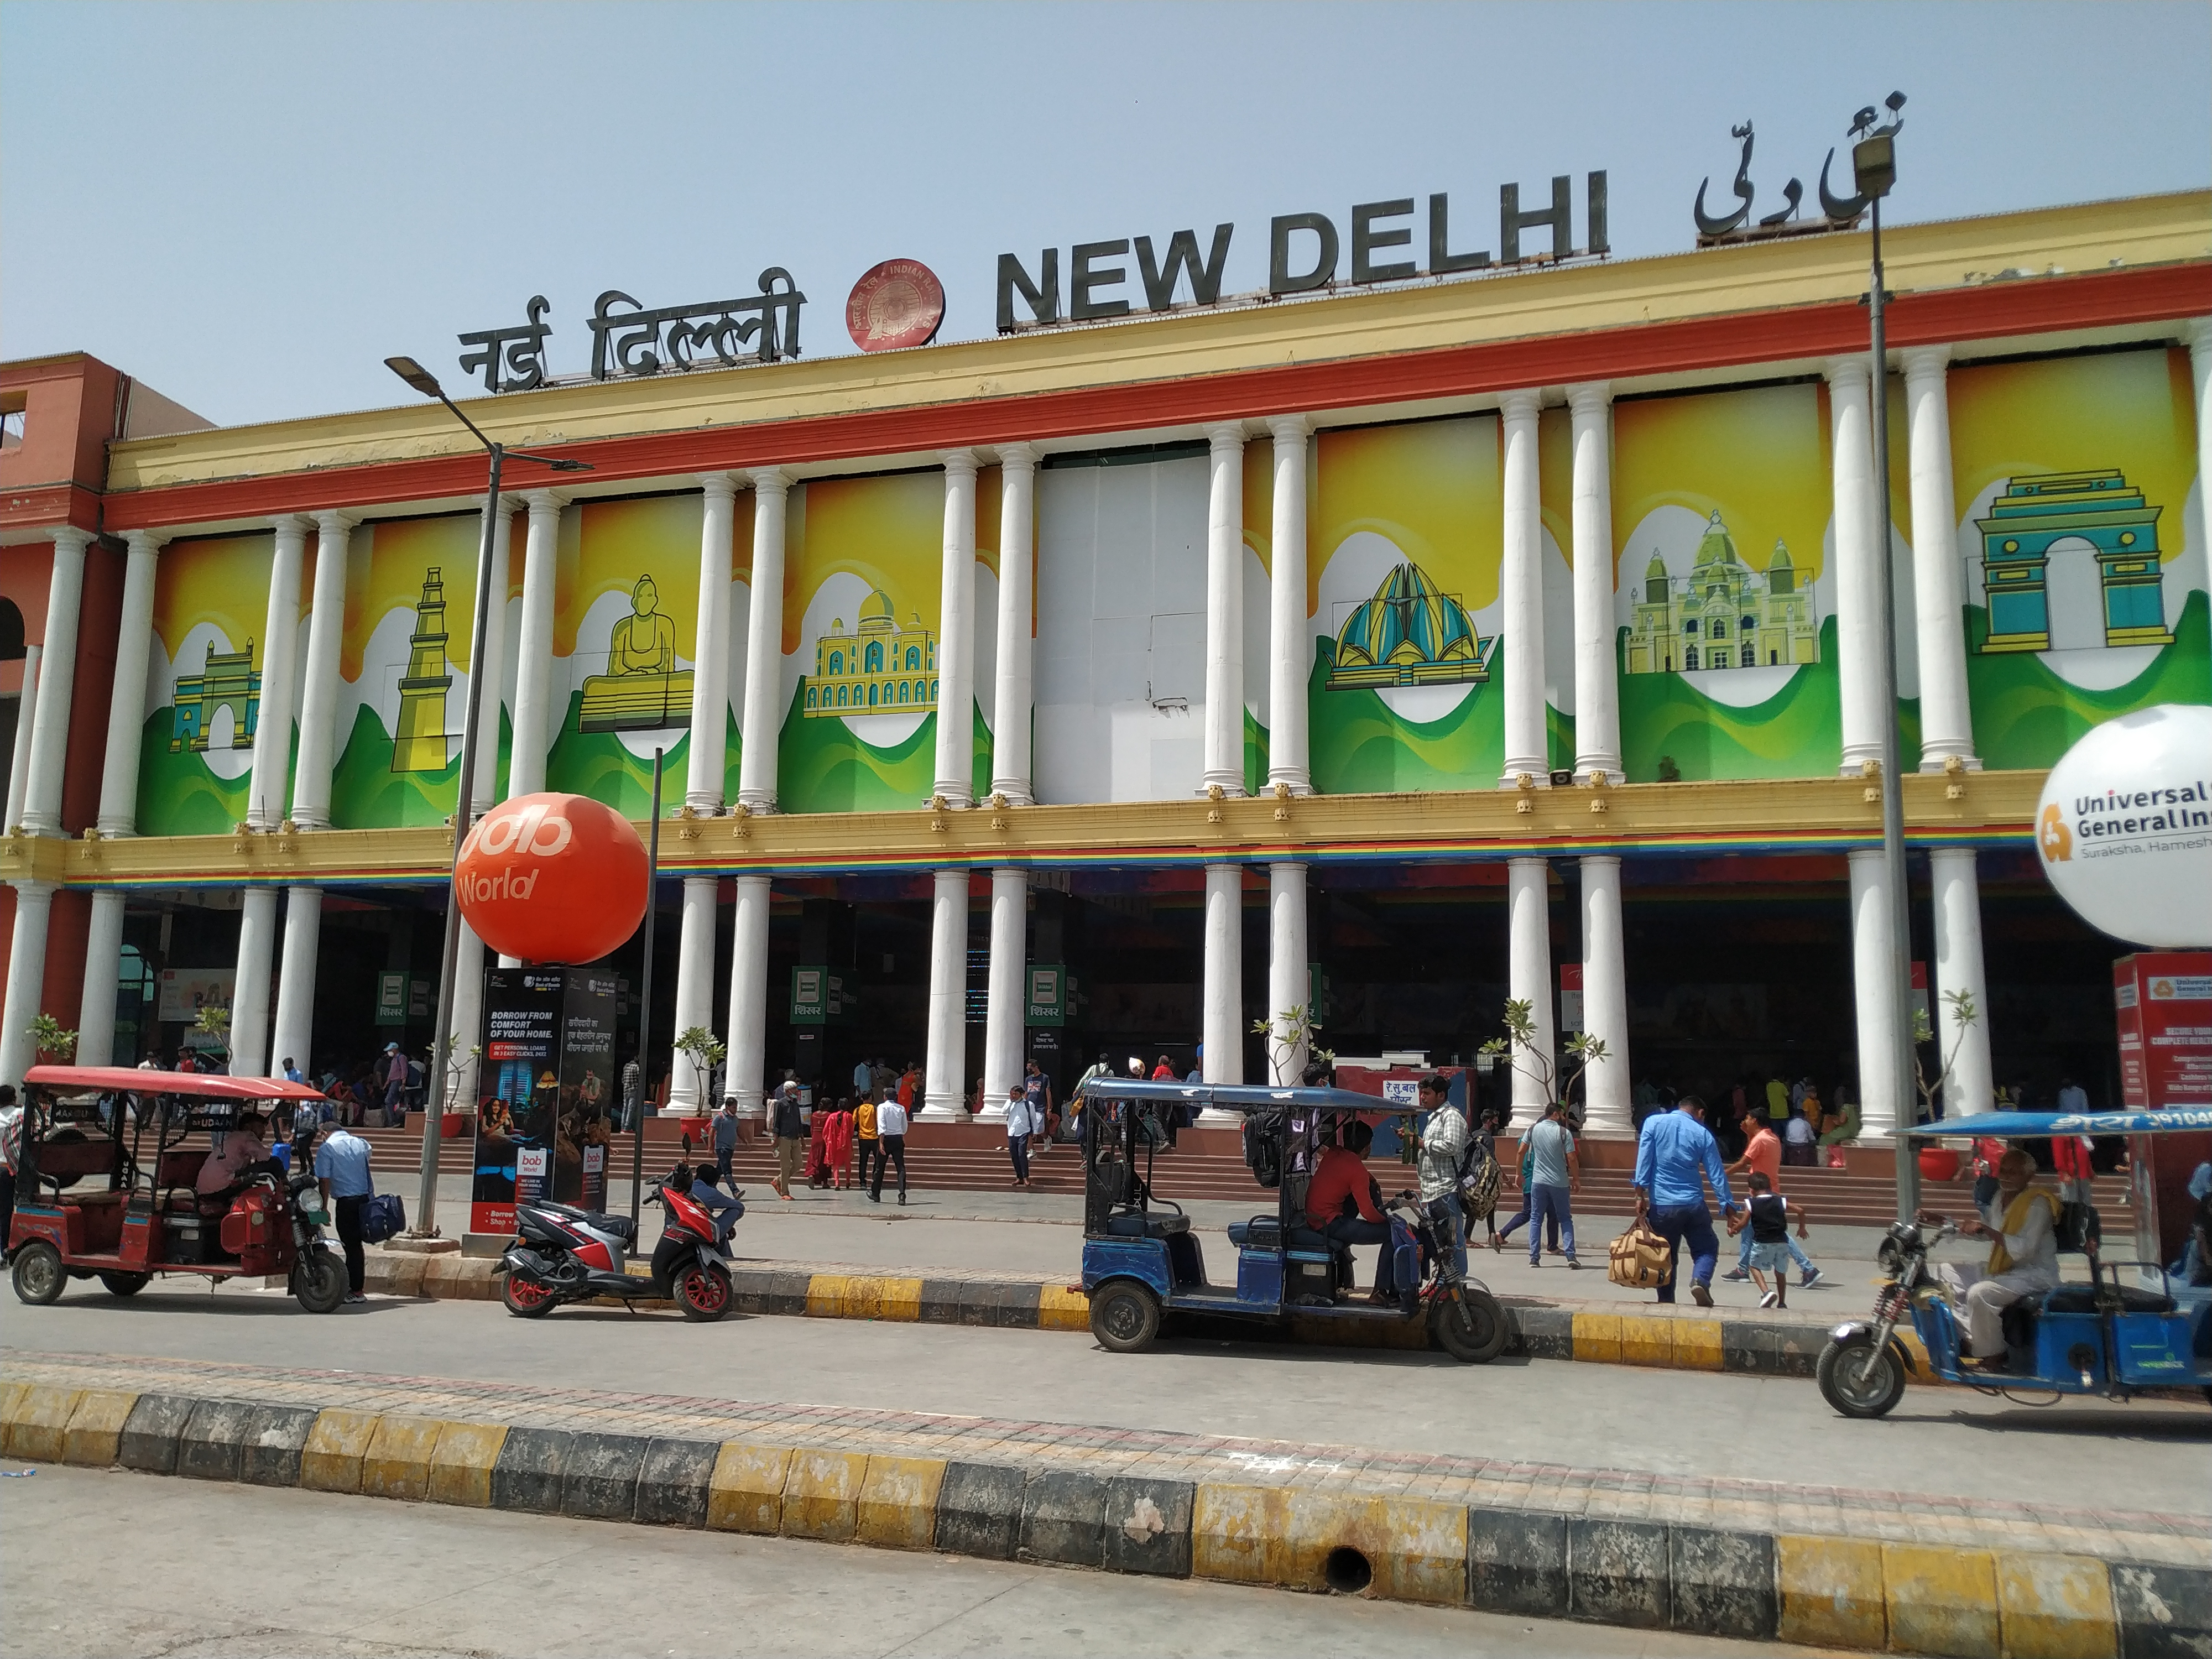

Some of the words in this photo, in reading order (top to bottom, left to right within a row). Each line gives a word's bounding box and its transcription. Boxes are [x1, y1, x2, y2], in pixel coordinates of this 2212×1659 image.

[1270, 169, 1607, 294] DELHI
[997, 222, 1236, 328] NEW
[585, 266, 808, 381] दिल्ली
[457, 295, 552, 393] नई
[2075, 780, 2209, 815] Universal
[2077, 807, 2210, 837] GeneralIn
[458, 867, 540, 906] World
[374, 1003, 405, 1018] शिखर
[489, 1008, 531, 1021] BORROW
[488, 1017, 534, 1032] COMFORT
[525, 1007, 555, 1022] FROM
[566, 1014, 593, 1030] खरीददारी
[589, 1019, 601, 1031] का
[789, 1001, 825, 1017] शिखर
[487, 1028, 505, 1041] OF
[500, 1027, 528, 1041] YOUR
[525, 1027, 556, 1042] HOME.
[566, 1030, 578, 1044] एक
[572, 1026, 598, 1044] बेहतरीन
[593, 1030, 613, 1047] अनुभव
[566, 1040, 583, 1055] वीरान।
[580, 1042, 596, 1055] जगहों
[592, 1044, 604, 1055] पर
[599, 1039, 611, 1056] भी
[519, 1153, 545, 1170] bob
[586, 1151, 602, 1166] bob